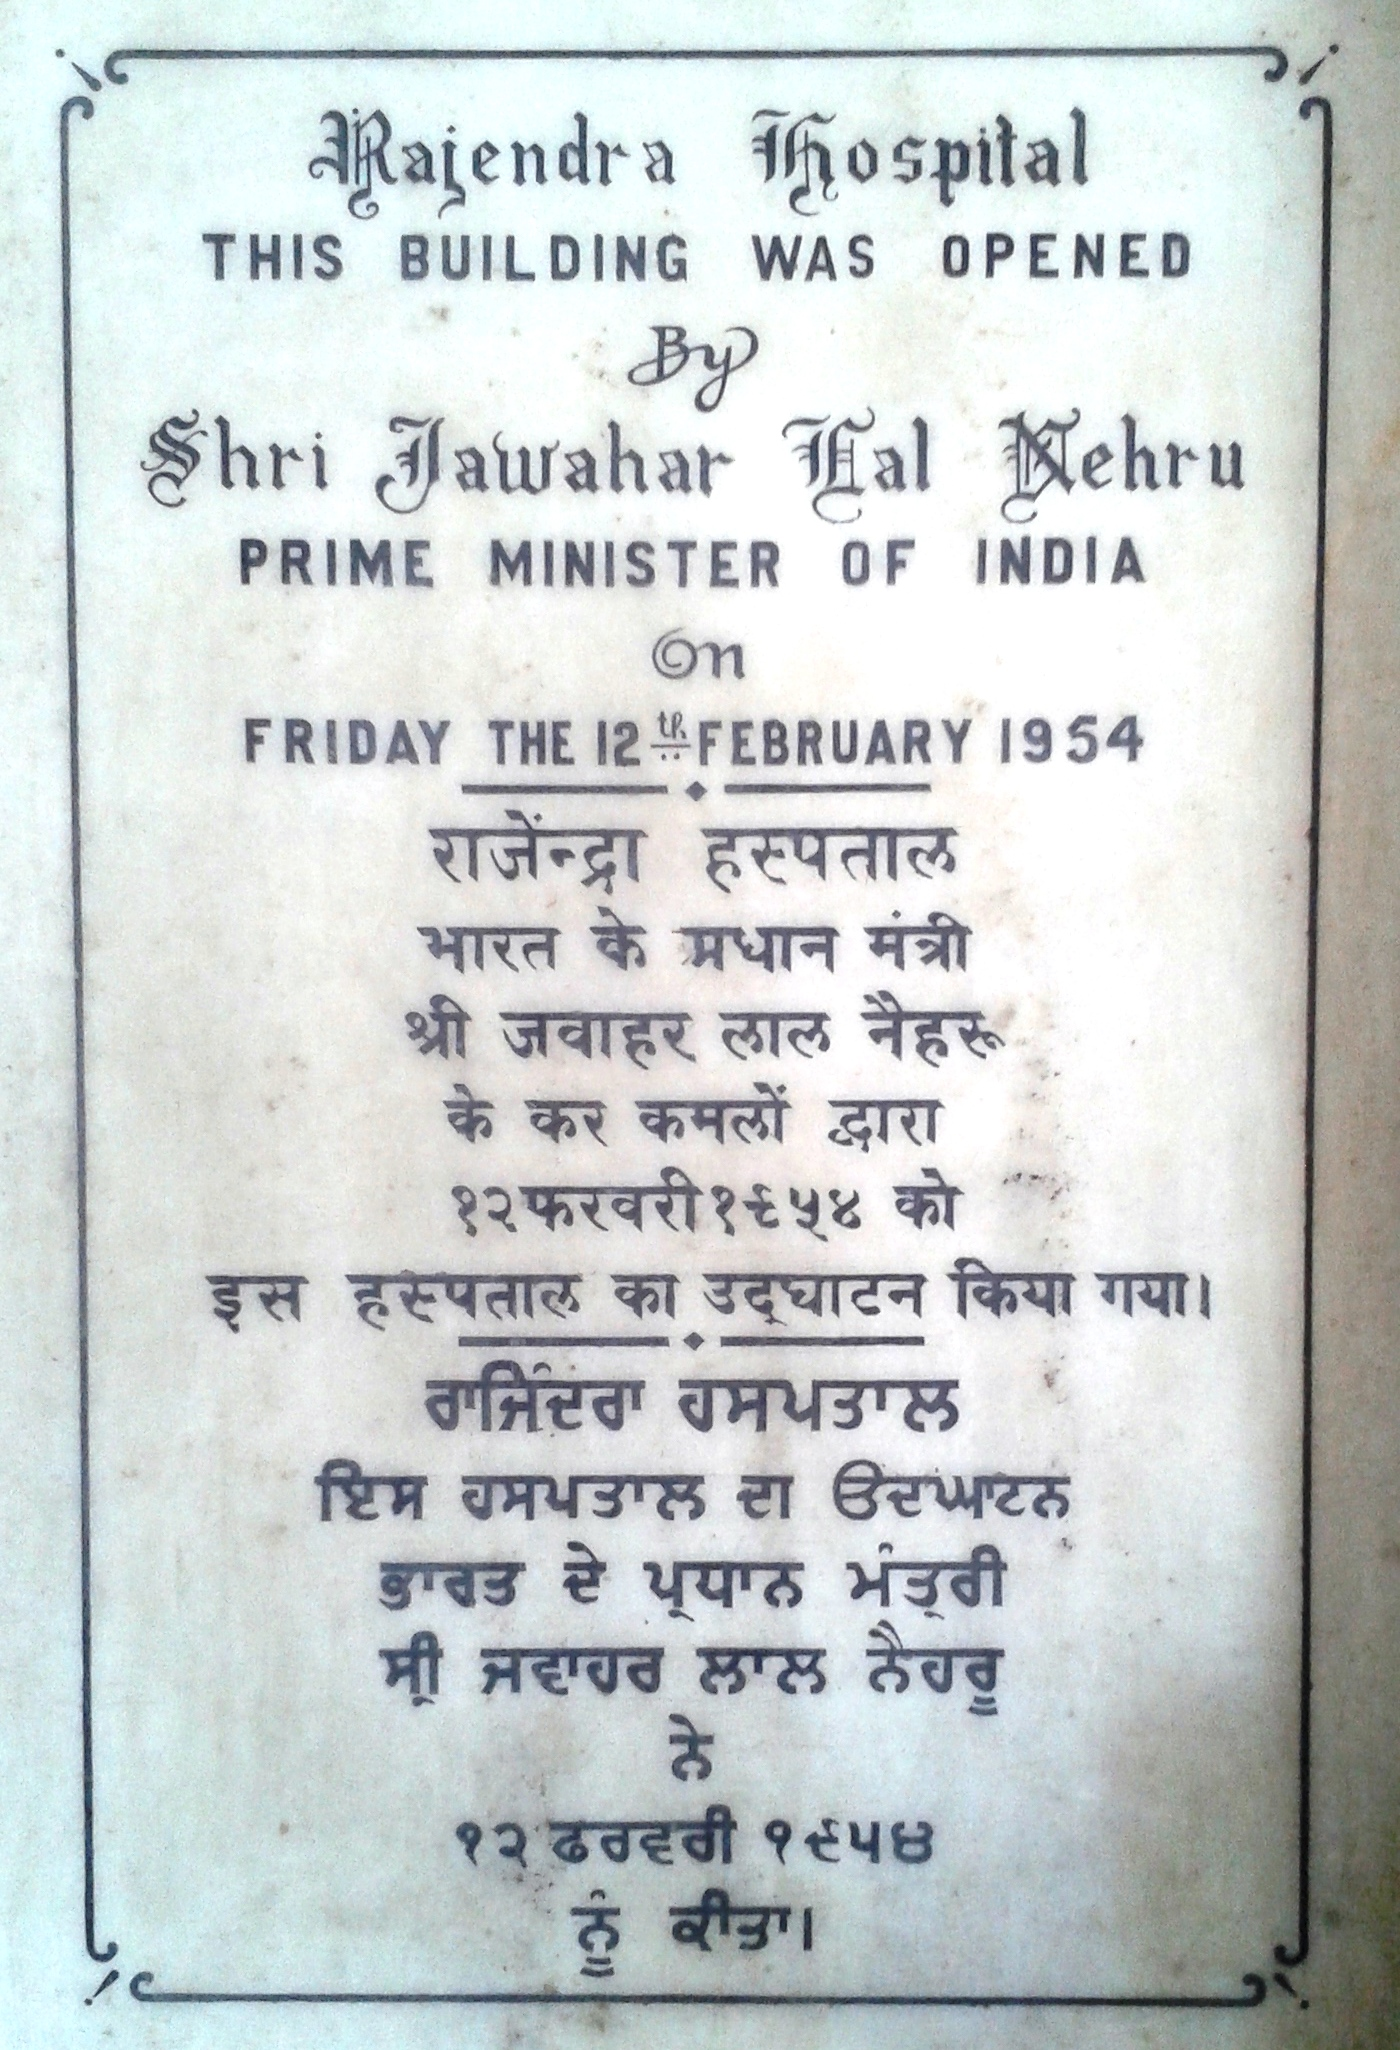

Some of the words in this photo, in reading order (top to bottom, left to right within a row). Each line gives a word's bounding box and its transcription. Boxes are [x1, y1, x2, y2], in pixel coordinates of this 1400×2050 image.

[291, 100, 687, 227] Rajendra
[732, 98, 1106, 222] hospital
[188, 222, 352, 290] THIS
[387, 221, 706, 303] BUILDING
[744, 226, 881, 288] WAS
[938, 226, 1193, 286] OPENED
[620, 307, 765, 418] By
[121, 399, 344, 515] Shri
[359, 401, 746, 525] Jawahar
[774, 398, 950, 530] Hal
[976, 397, 1262, 527] Nehru
[225, 529, 441, 593] PRIME
[480, 532, 794, 598] MINISTER
[827, 526, 923, 595] OF
[964, 528, 1149, 594] INDIA
[649, 627, 751, 688] On
[231, 708, 460, 772] FRIDAY
[481, 707, 582, 773] THE
[590, 701, 695, 774] 12th
[694, 706, 980, 773] FEBRUARY
[991, 709, 1161, 776] 1954
[421, 804, 653, 906] राजेंन्द्रा
[695, 820, 972, 900] हस्पताल
[404, 916, 571, 984] भारत
[575, 903, 663, 984] के
[671, 912, 845, 984] मधान
[854, 899, 985, 983] मंत्री
[394, 987, 479, 1072] श्री
[489, 1002, 706, 1078] जवाहर
[705, 1000, 845, 1070] लाल
[847, 985, 1013, 1081] नैहरू
[431, 1073, 504, 1152] के
[518, 1086, 621, 1155] क‍र
[625, 1072, 799, 1154] कमलों
[812, 1084, 953, 1162] द्वारा
[442, 1176, 525, 1245] १२
[510, 1161, 710, 1244] फरवरी
[706, 1175, 876, 1247] १६५४
[882, 1158, 970, 1239] को
[198, 1260, 318, 1341] इस
[334, 1262, 589, 1338] हस्पताल
[596, 1263, 690, 1325] का
[692, 1264, 935, 1331] उद्‌घाटन
[938, 1248, 1084, 1330] किया
[1084, 1263, 1195, 1330] गया
[413, 1350, 653, 1448] ਰਾਜਿਦਰਾ
[666, 1372, 967, 1438] ਹਸਪਤਾਲ
[304, 1445, 439, 1532] ਇਸ
[450, 1465, 714, 1528] ਹਸਪਤਾਲ
[725, 1467, 801, 1530] ਦਾ
[815, 1454, 1080, 1533] ੳਦਘਾਟਨ
[366, 1550, 532, 1623] ਭਾਰਤ
[548, 1539, 614, 1613] ਦੇ
[633, 1542, 818, 1633] ਪ੍ਰਧਾਨ
[832, 1534, 1020, 1629] ਮੰਤ੍ਰਰੀ
[371, 1628, 457, 1728] ਸ੍ਰੀ
[465, 1632, 681, 1709] ਜਵਾਹਰ
[682, 1639, 843, 1708] ਲਾਲ
[857, 1612, 1017, 1726] ਨੈਹਰੂ
[655, 1704, 730, 1787] ਨੇ
[445, 1810, 538, 1878] ੧੨
[539, 1794, 751, 1875] ਫਰਵਰੀ
[757, 1807, 942, 1881] ੧੯੫੪
[564, 1880, 632, 1987] ਨੂੰ
[662, 1884, 820, 1963] ਕੀਤਾ।